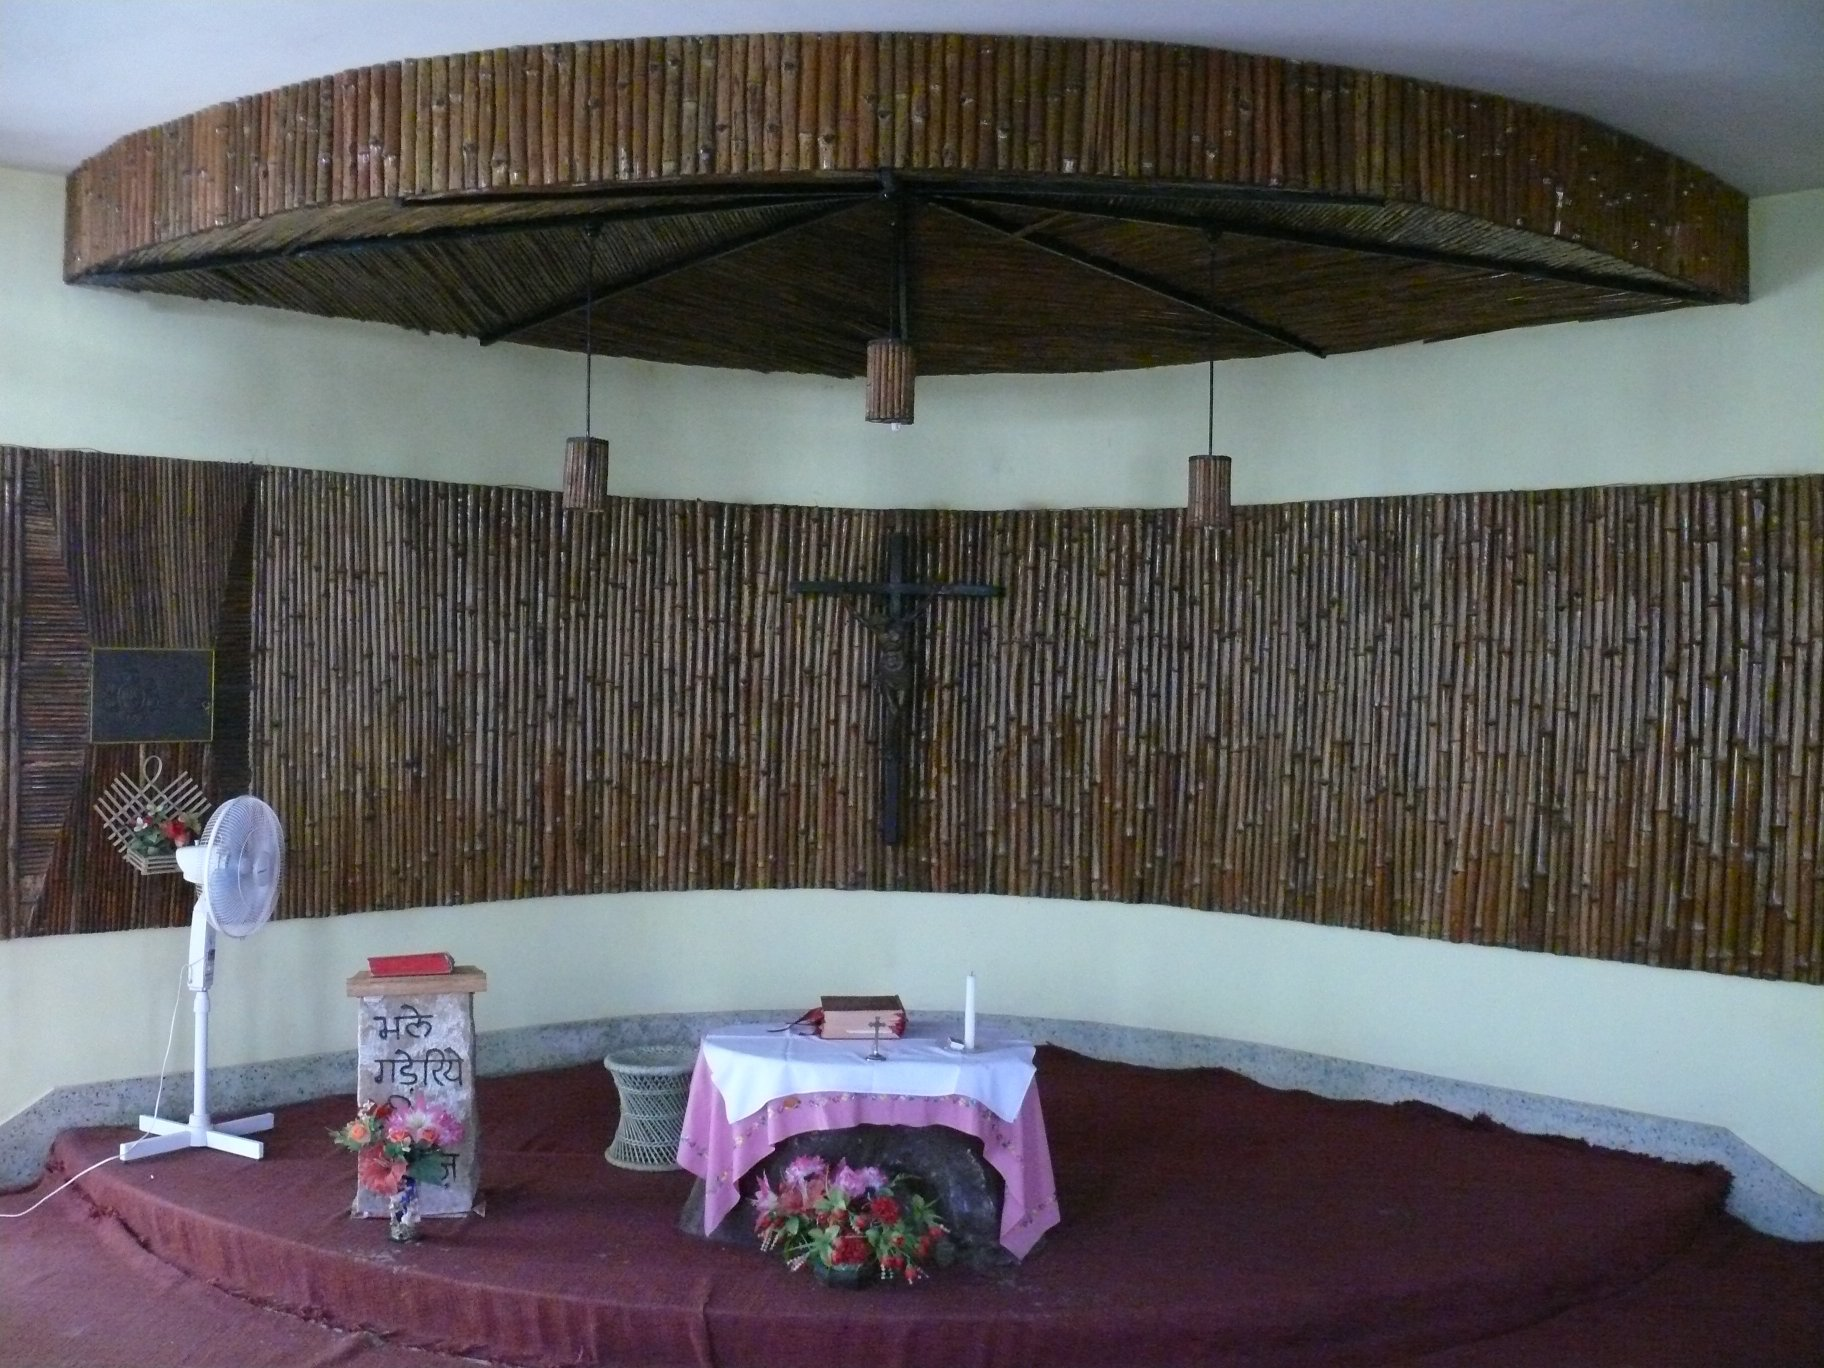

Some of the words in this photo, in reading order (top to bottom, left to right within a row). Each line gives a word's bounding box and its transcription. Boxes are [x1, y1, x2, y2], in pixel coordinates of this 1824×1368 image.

[373, 1001, 437, 1046] भले
[373, 1045, 467, 1096] गड़ेरिये